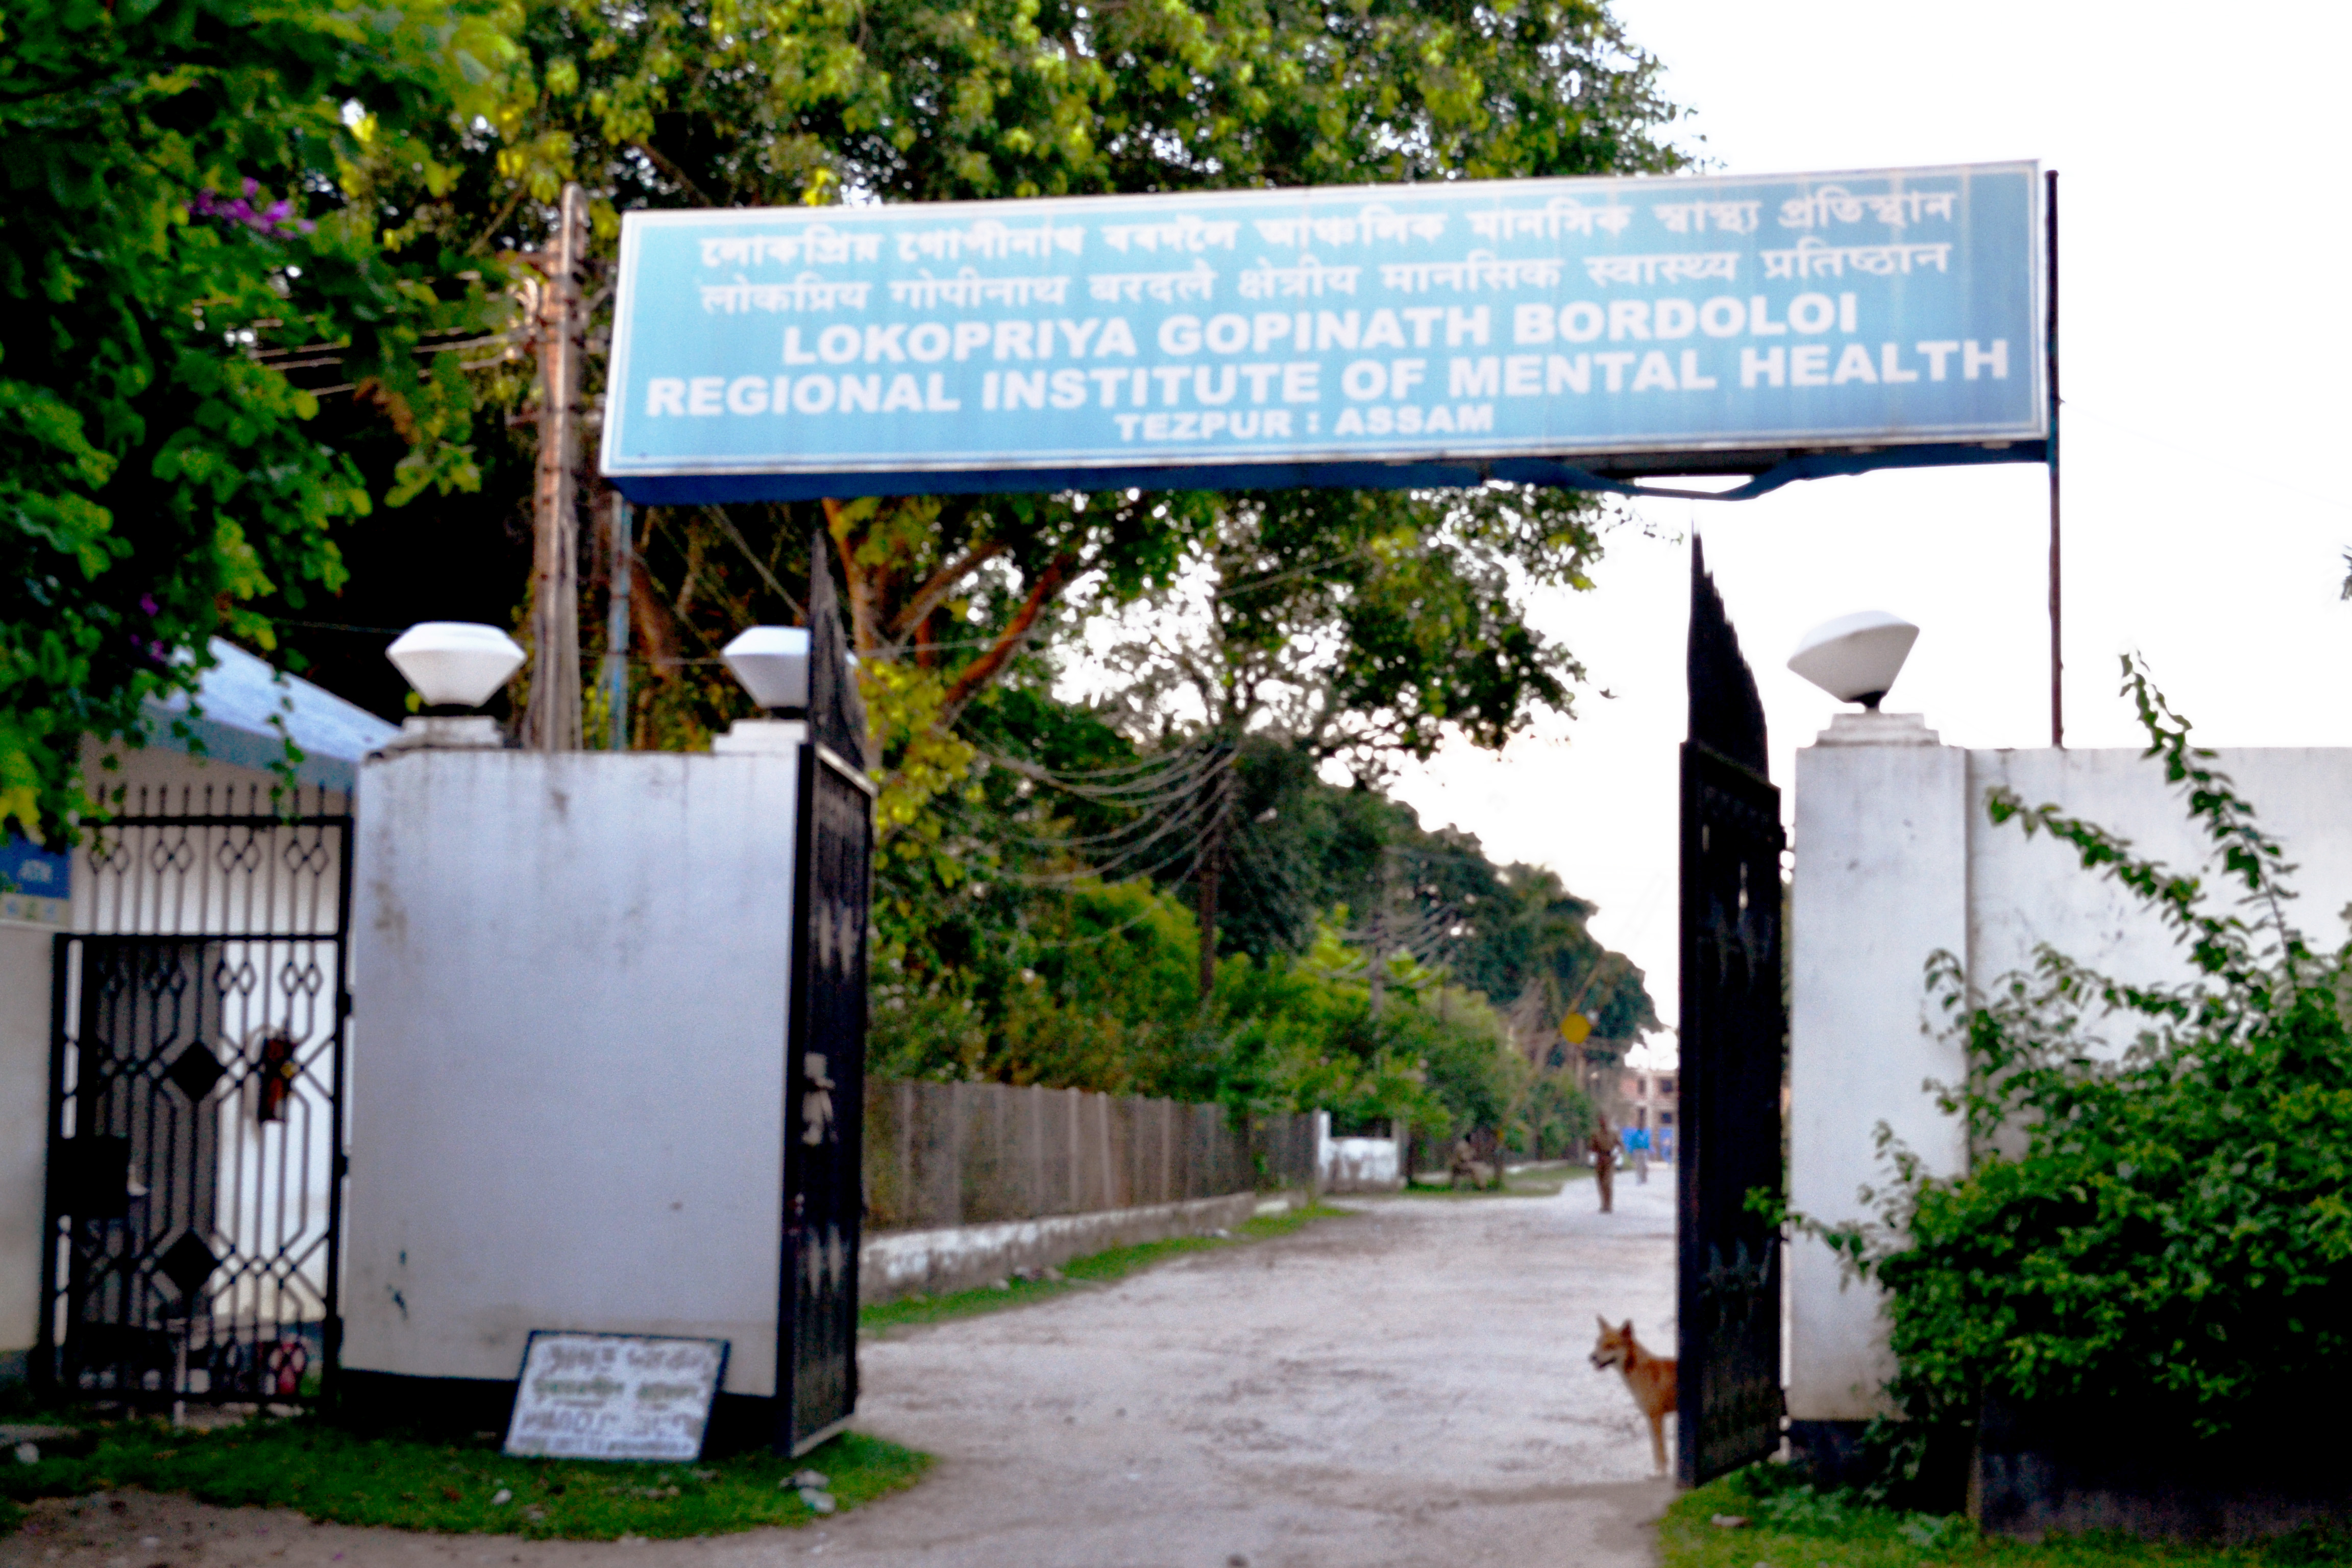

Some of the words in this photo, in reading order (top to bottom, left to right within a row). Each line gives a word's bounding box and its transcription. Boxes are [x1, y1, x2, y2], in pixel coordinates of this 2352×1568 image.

[694, 262, 876, 325] लोकप्रिय
[696, 214, 901, 280] লোকপ্ৰিয়
[640, 357, 970, 427] REGIONAL
[777, 305, 1141, 375] LOKOPRIYA
[881, 259, 1080, 316] गोपीनाथ
[889, 205, 1094, 276] গোপীনাথ
[978, 353, 1331, 418] INSTITUTE
[1087, 248, 1226, 315] बरदले
[1093, 200, 1249, 265] বৰদলৈ
[1109, 397, 1306, 449] TEZPUR
[1233, 247, 1361, 307] क्षेत्रीय
[1149, 296, 1500, 363] GOPINATH
[1253, 190, 1449, 259] আঞ্চলিৰ
[1331, 348, 1436, 416] OF
[1324, 398, 1503, 445] ASSAM
[1374, 242, 1571, 299] मानसिक
[1467, 190, 1637, 248] মানসিক
[1438, 336, 1726, 406] MENTAL
[1578, 246, 1750, 295] स्वास्थ्य
[1509, 275, 1867, 356] BORDOLOI
[1651, 194, 1760, 238] স্বাস্থ্য
[1755, 220, 1959, 291] प्रतिष्ठान
[1774, 171, 1964, 241] প্ৰতিস্থান
[1738, 333, 2015, 397] HEALTH